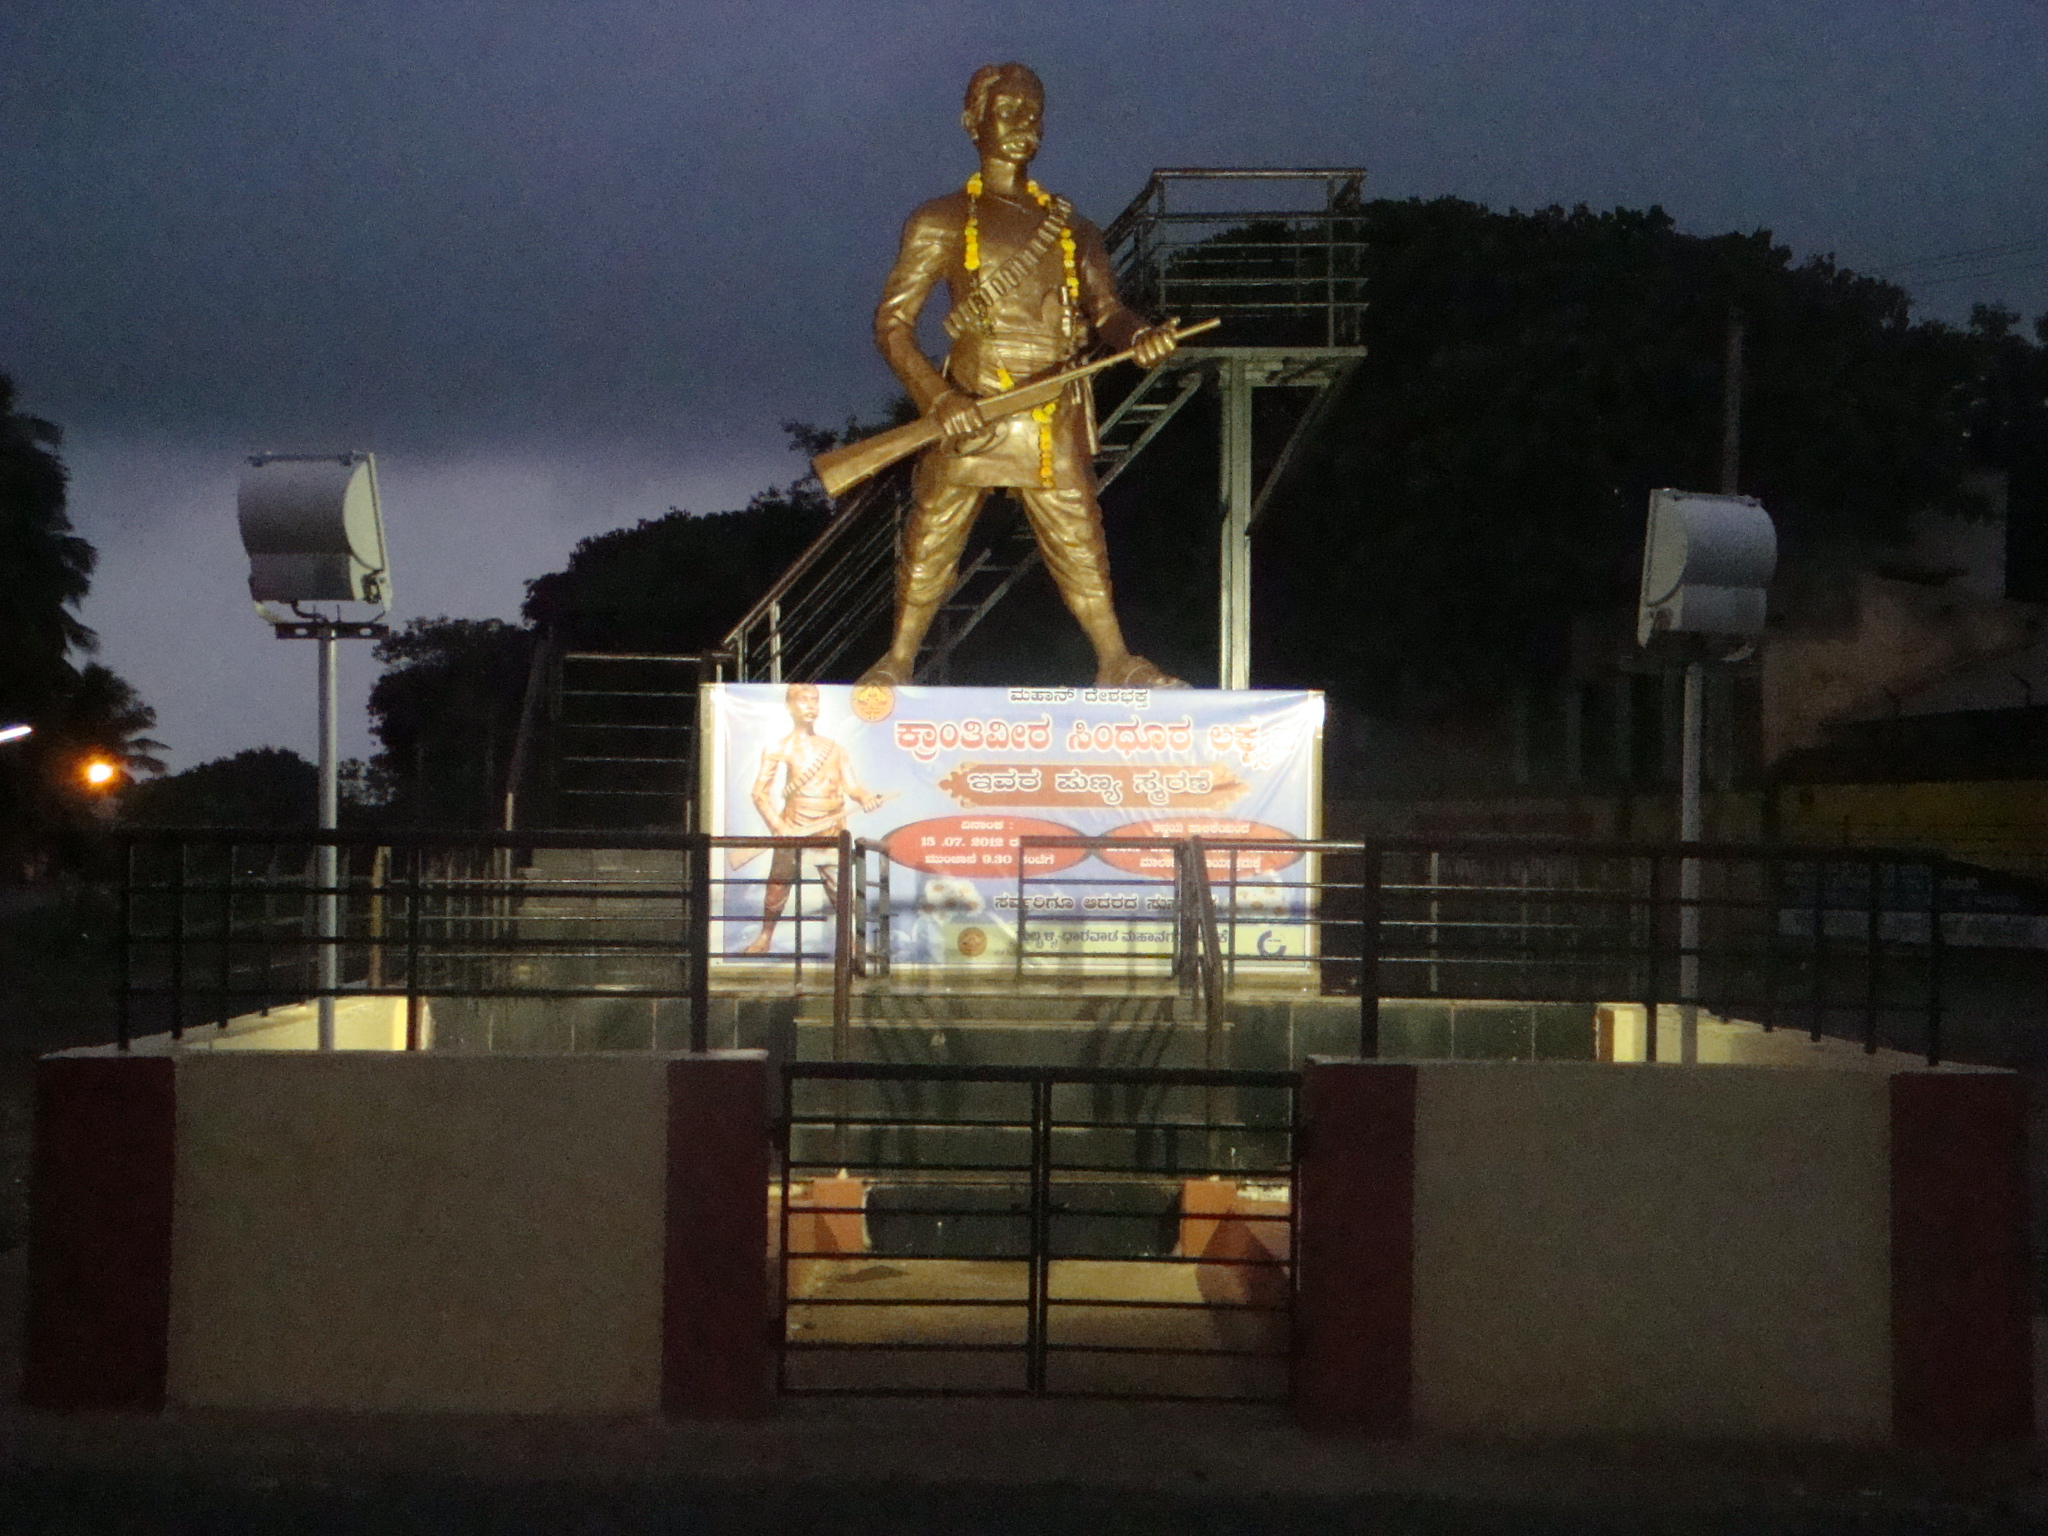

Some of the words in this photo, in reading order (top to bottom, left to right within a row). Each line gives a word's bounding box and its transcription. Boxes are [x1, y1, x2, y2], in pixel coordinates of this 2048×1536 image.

[1006, 684, 1079, 709] ಮಹಾನ್
[1078, 684, 1153, 712] ದೇಶಭಕ್ತ
[892, 713, 1056, 767] ಕ್ರಾಂತಿವೀರ
[1063, 716, 1197, 759] ಸಿಂಧೂರ
[952, 764, 1043, 799] ಇವರ
[1051, 759, 1127, 813] ಪುಣ್ಯ
[1132, 765, 1215, 817] ಸ್ಮರಣಿ
[952, 813, 1008, 835] ವಿನಾಂಕ
[1144, 817, 1188, 843] ಅನ್ವಯ
[1182, 817, 1255, 840] ಪಾಲಕೆಯಿಂದ
[915, 833, 1009, 855] 15.07.2012
[973, 850, 1017, 871] 9.30
[989, 888, 1079, 914] ಸರ್ವರಿಗೂ
[1079, 889, 1143, 913] ಆದರದ
[1057, 923, 1122, 949] ಧಾರವಾಡ
[1118, 925, 1177, 947] ಮಹಾನಗ